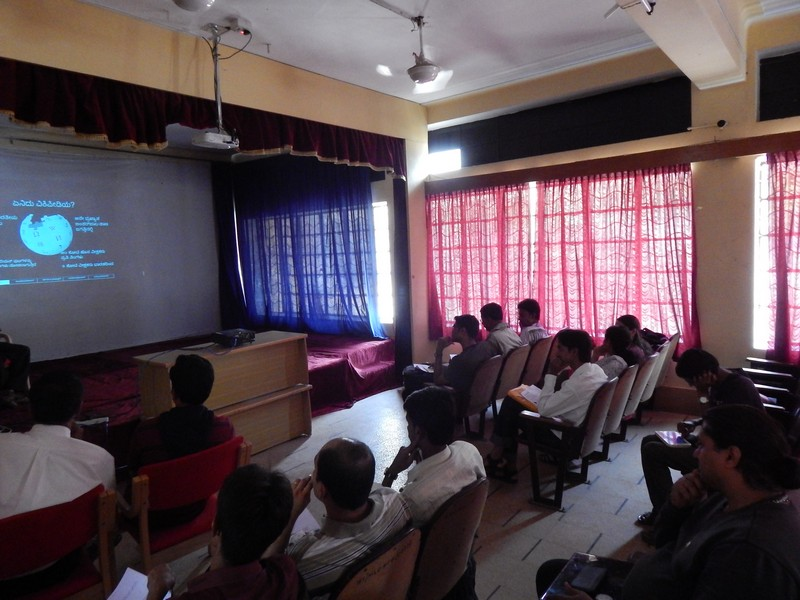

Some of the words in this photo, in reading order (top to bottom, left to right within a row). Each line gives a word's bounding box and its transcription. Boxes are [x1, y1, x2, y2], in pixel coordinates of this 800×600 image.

[7, 192, 39, 212] ಏನಿದು
[33, 196, 79, 216] ಎಕಿಪೀಡಿಯ?